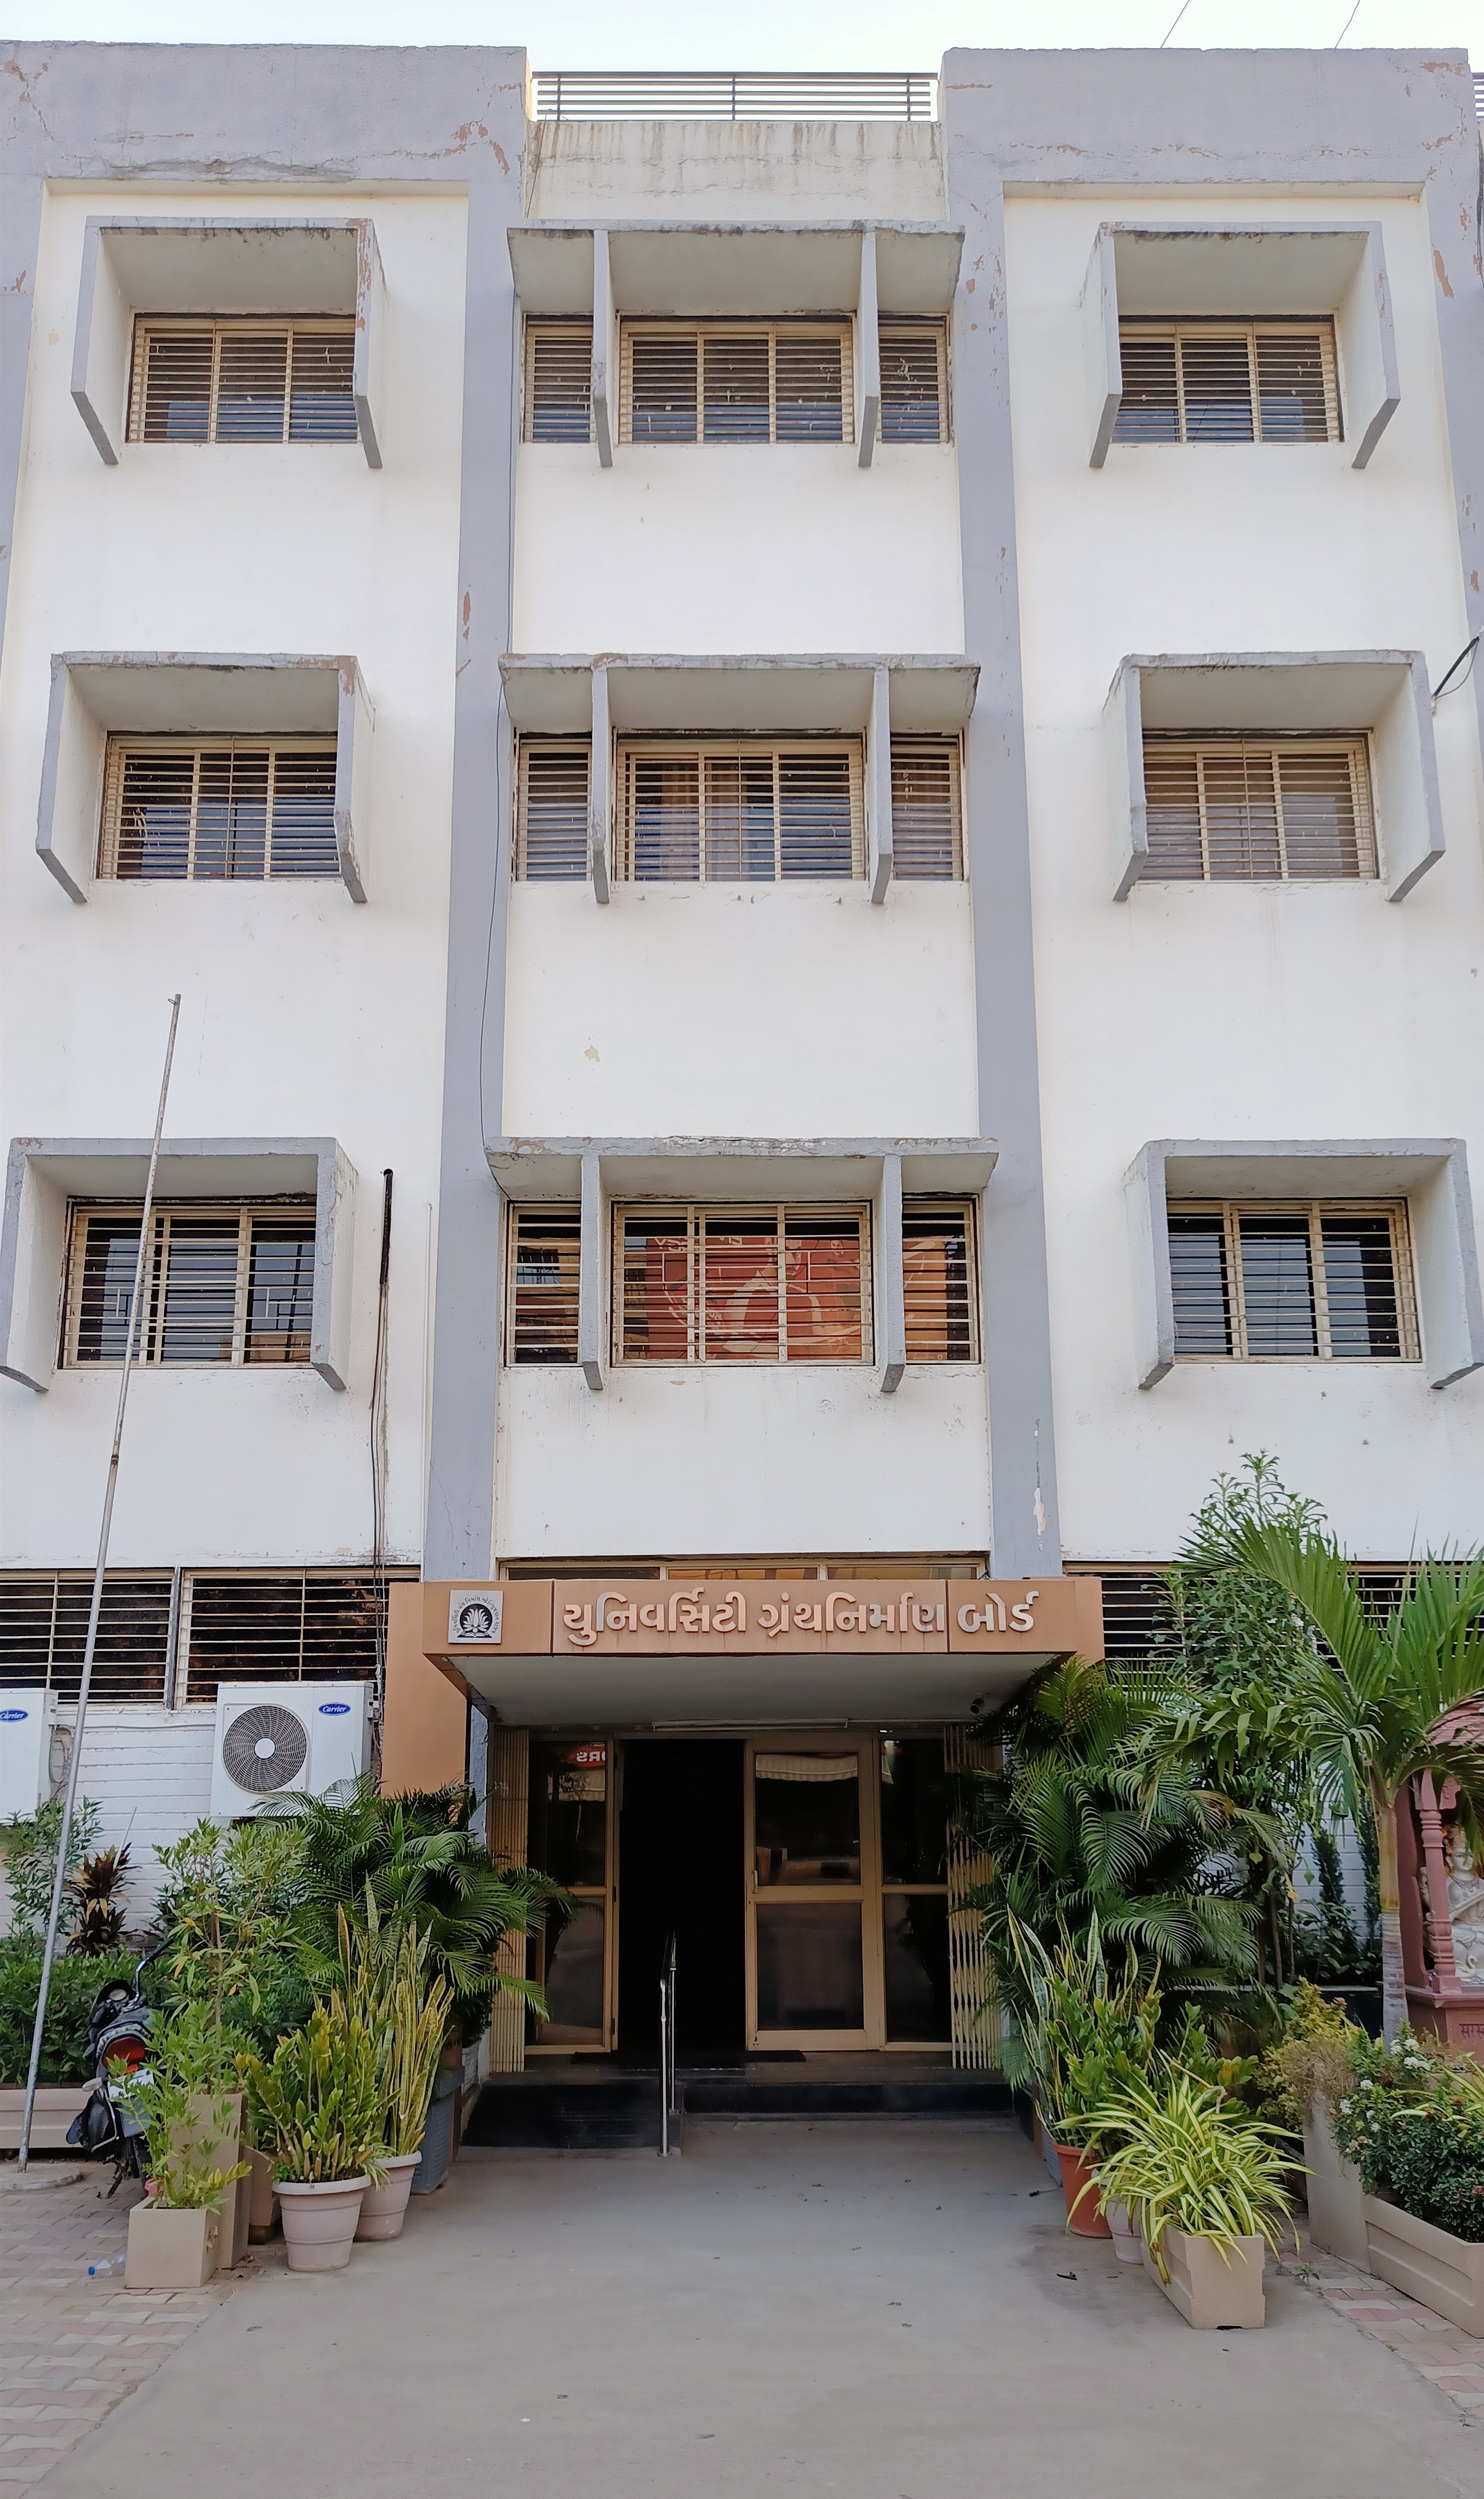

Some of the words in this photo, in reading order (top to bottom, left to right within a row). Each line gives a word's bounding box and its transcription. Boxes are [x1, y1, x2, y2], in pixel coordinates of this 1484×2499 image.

[551, 1585, 752, 1652] યુનિવર્સિટી
[754, 1588, 944, 1642] ગ્રંથનિર્માણ
[953, 1586, 1047, 1640] બોર્ડ